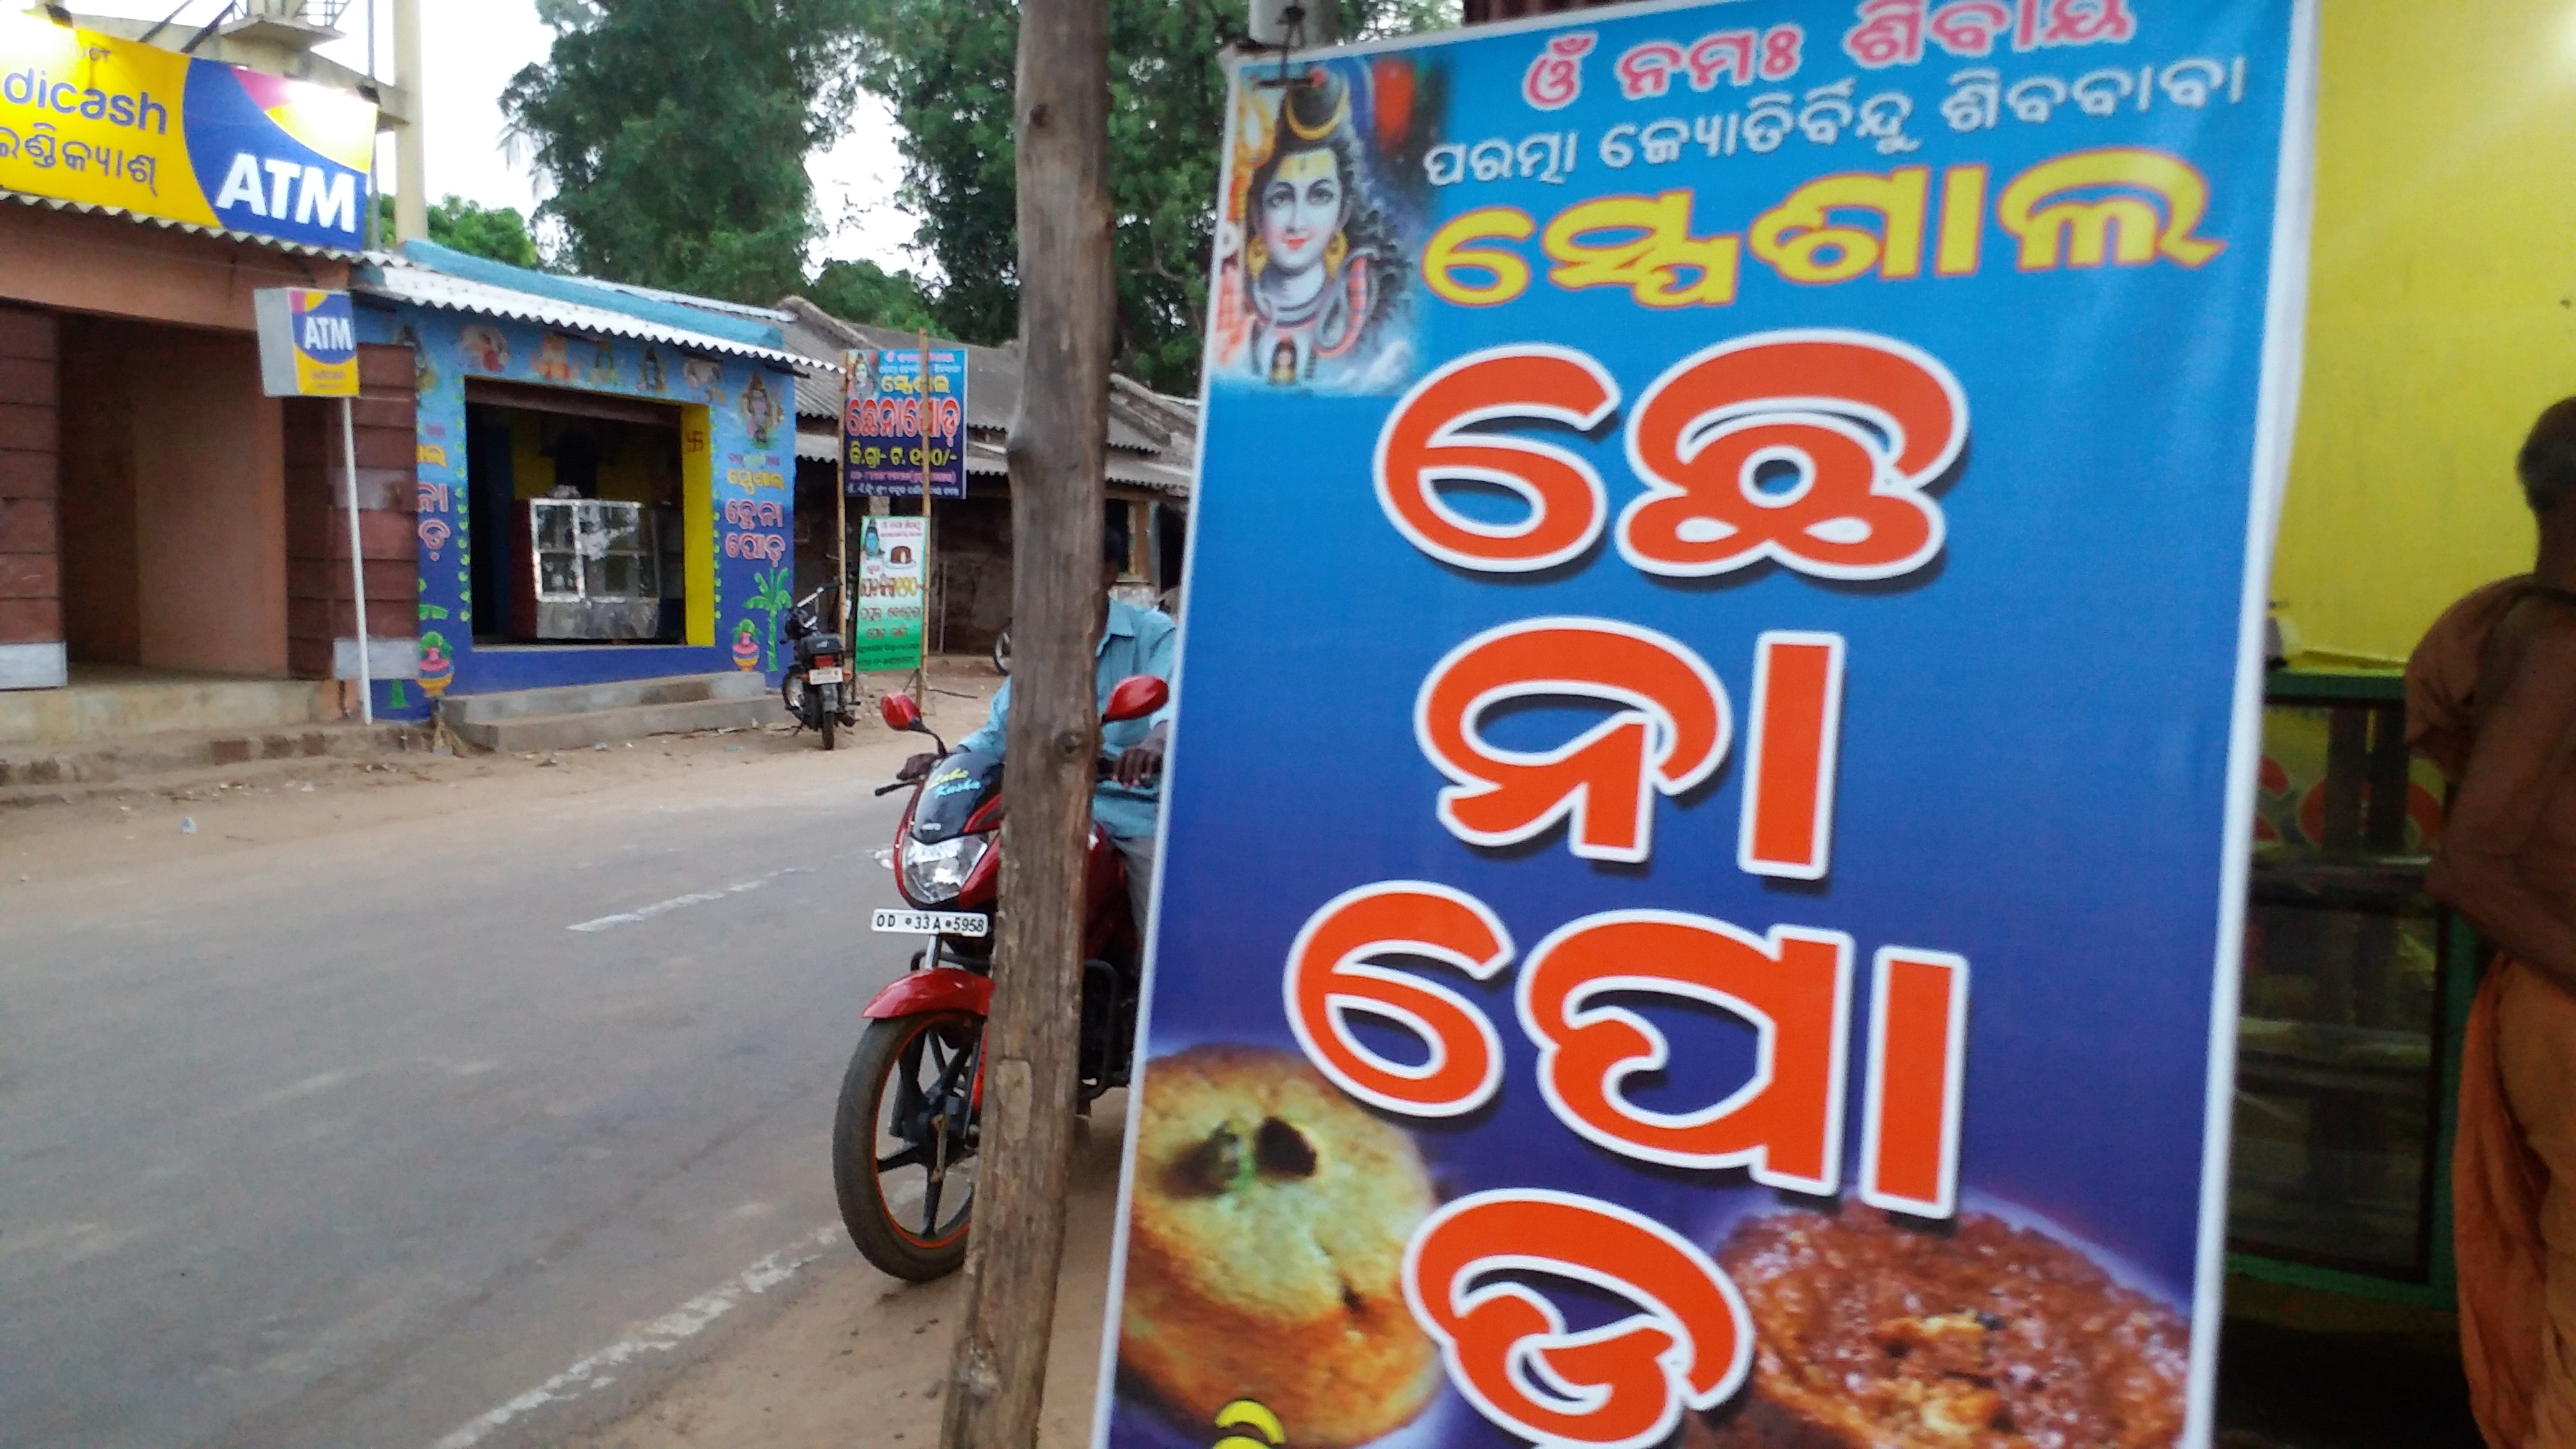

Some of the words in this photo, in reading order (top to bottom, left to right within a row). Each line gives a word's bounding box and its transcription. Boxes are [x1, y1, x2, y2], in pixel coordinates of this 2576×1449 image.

[2, 114, 162, 200] ଣ୍ତିକ୍ଯାଣ୍
[5, 67, 171, 140] dicash
[207, 150, 365, 238] ATM
[1418, 125, 1588, 196] ପରମ୍ଭା
[1499, 21, 1608, 119] ଓଁ
[1608, 21, 1807, 110] ନମ8
[1595, 66, 1930, 176] ଜ୍ୟୋତିର୍ବିନ୍ଦୁ
[1405, 139, 2235, 313] ସ୍ପେଶାଲ
[1827, 1, 2139, 81] ଶିବାୟ
[1926, 51, 2250, 147] ଶିବବାବା
[298, 311, 358, 354] ATM
[847, 436, 885, 472] ଳି.ଗ୍ରା-
[887, 441, 960, 471] ଟ ୧୦/-
[1353, 320, 1988, 593] ଛେ
[723, 526, 790, 570] ପୋଡ଼
[1390, 593, 1875, 895] ନା
[870, 909, 988, 938] OD-33A-5958
[1261, 864, 1982, 1229] ପୋ
[1393, 1176, 1781, 1447] ଡ